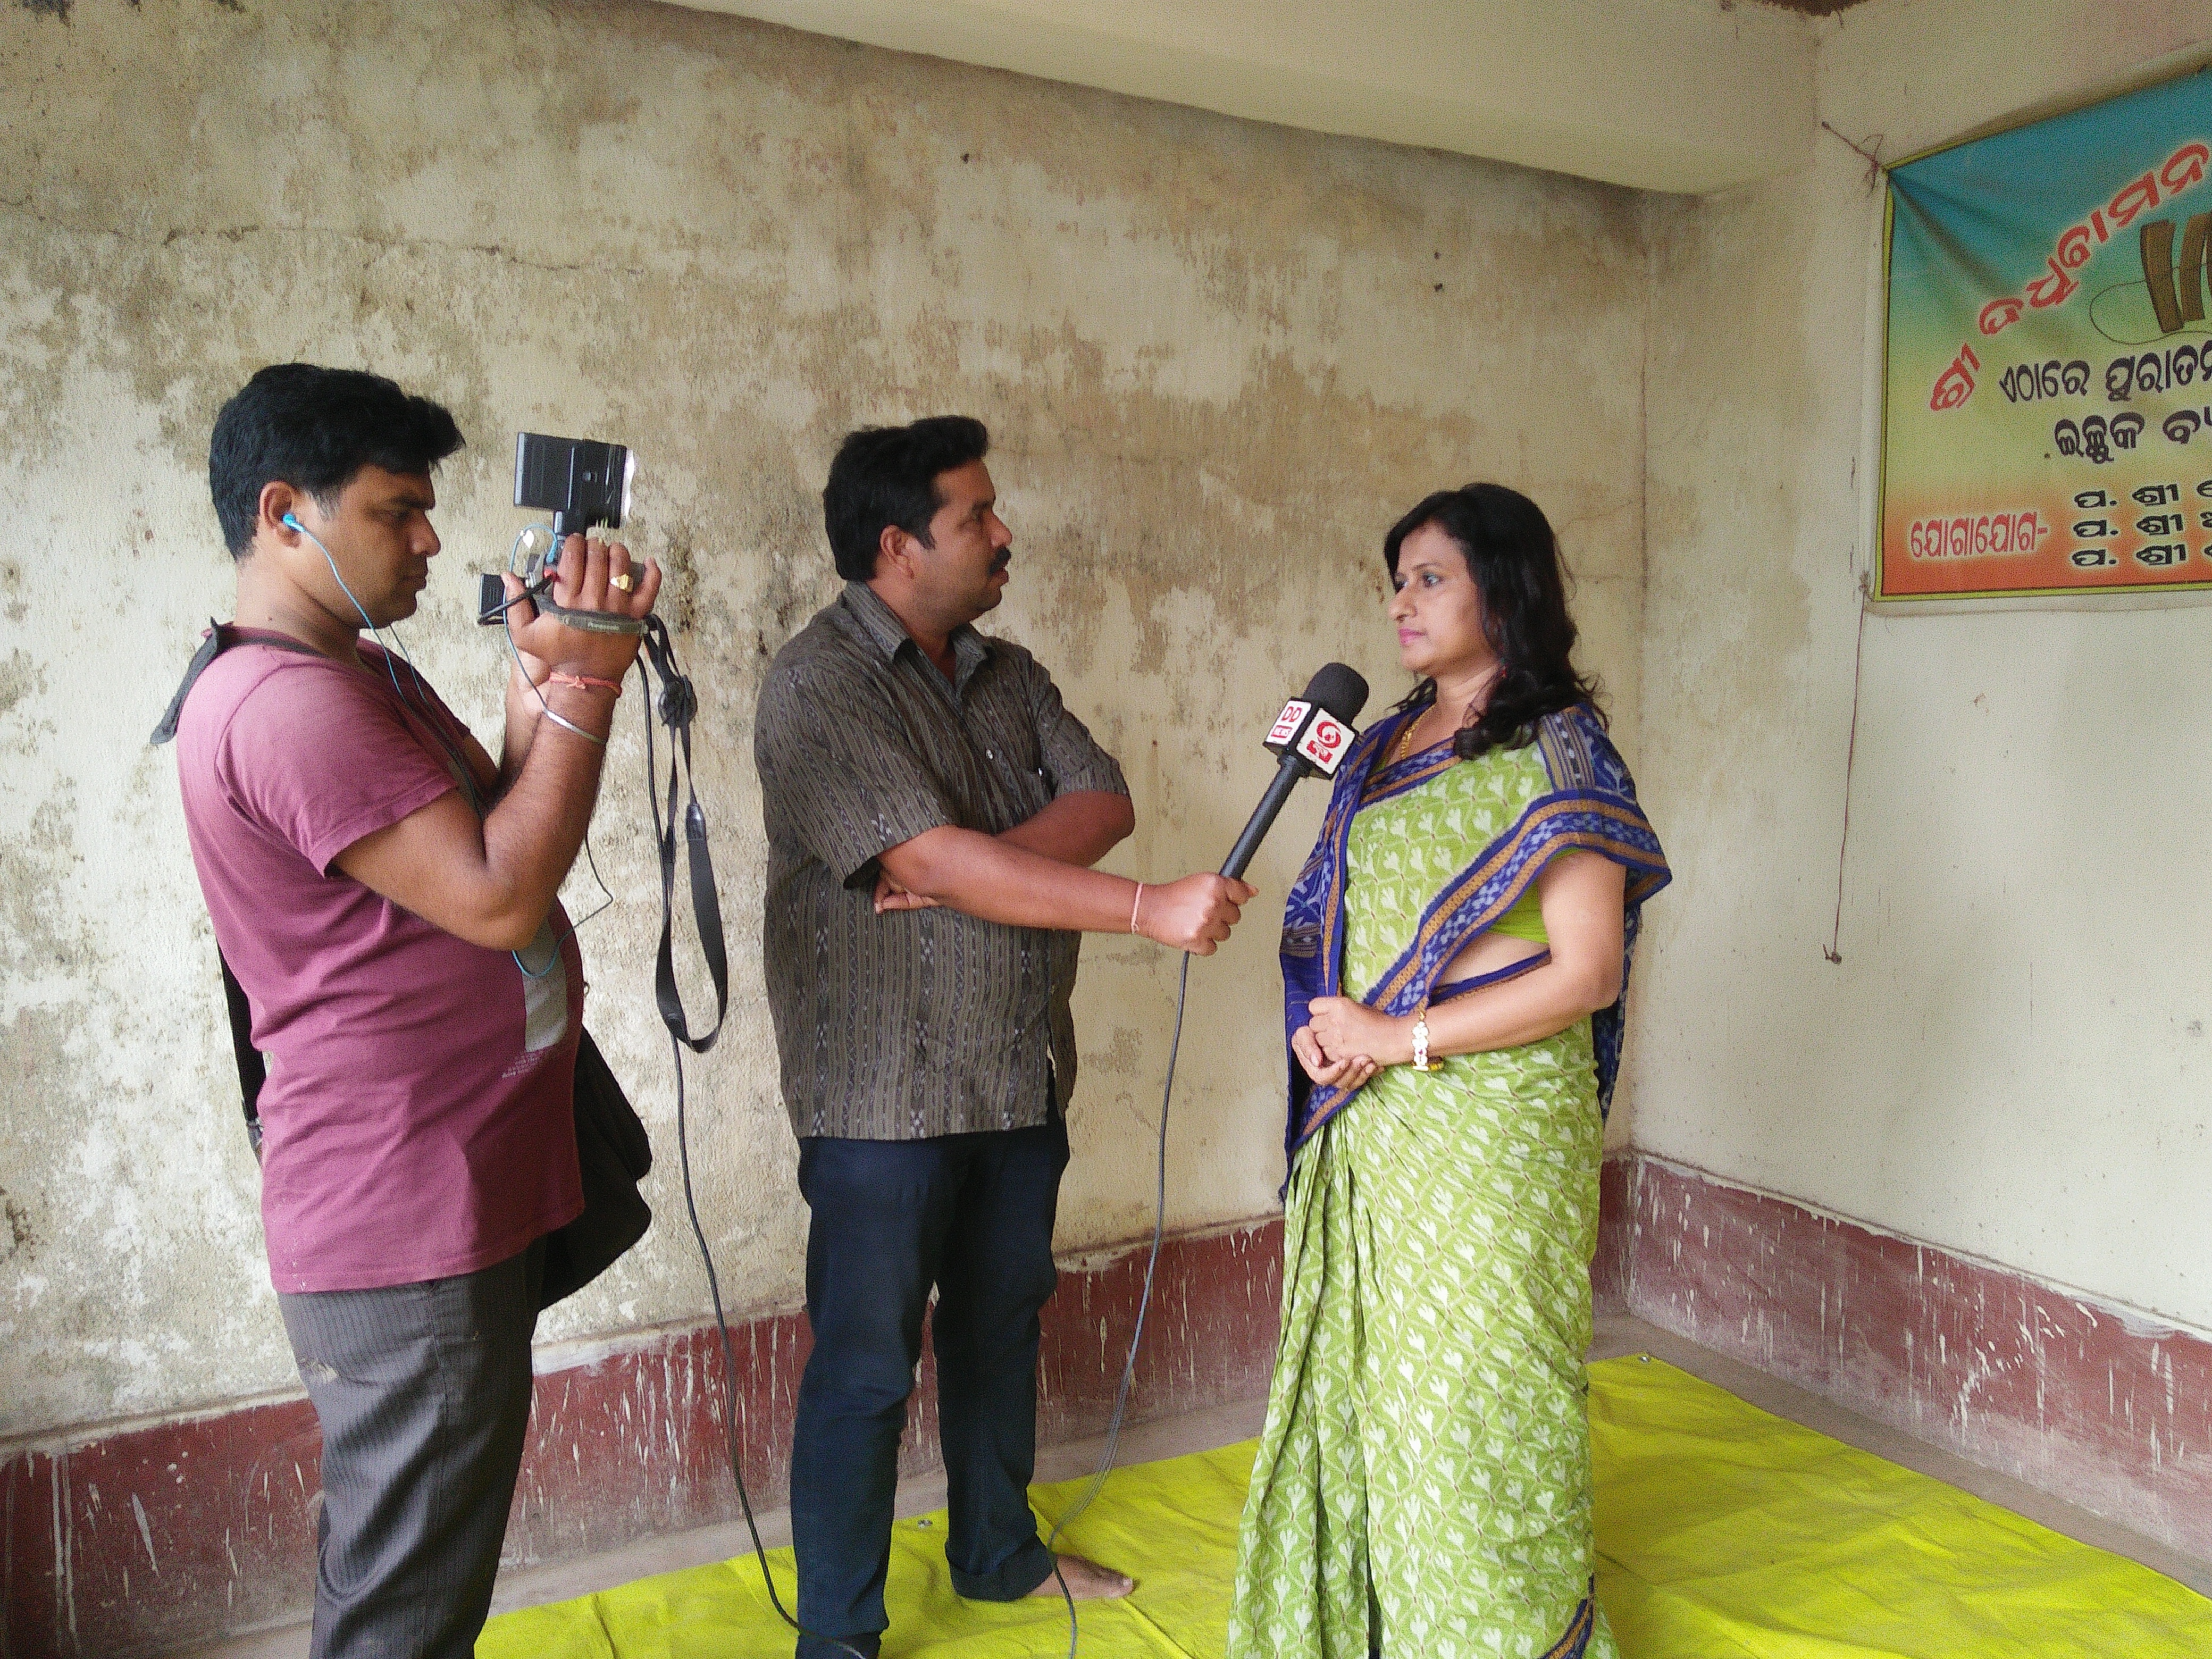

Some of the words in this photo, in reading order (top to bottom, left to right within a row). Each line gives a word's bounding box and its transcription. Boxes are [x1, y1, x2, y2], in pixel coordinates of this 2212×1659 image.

[1963, 140, 2210, 342] ଦଧୁବାମନ
[1918, 337, 1988, 418] ଶ୍ରୀ
[1989, 354, 2094, 408] ଏଠାରେ
[2100, 338, 2210, 410] ପୁରାତ
[2047, 406, 2151, 470] ଇଚ୍ଛୁକ
[1907, 508, 2051, 564] ଯୋଗାଯୋଗ-
[2066, 483, 2119, 572] ପ.ପ.ପ.
[2125, 476, 2188, 573] ଶ୍ରୀଶ୍ରୀଶ୍ରୀ